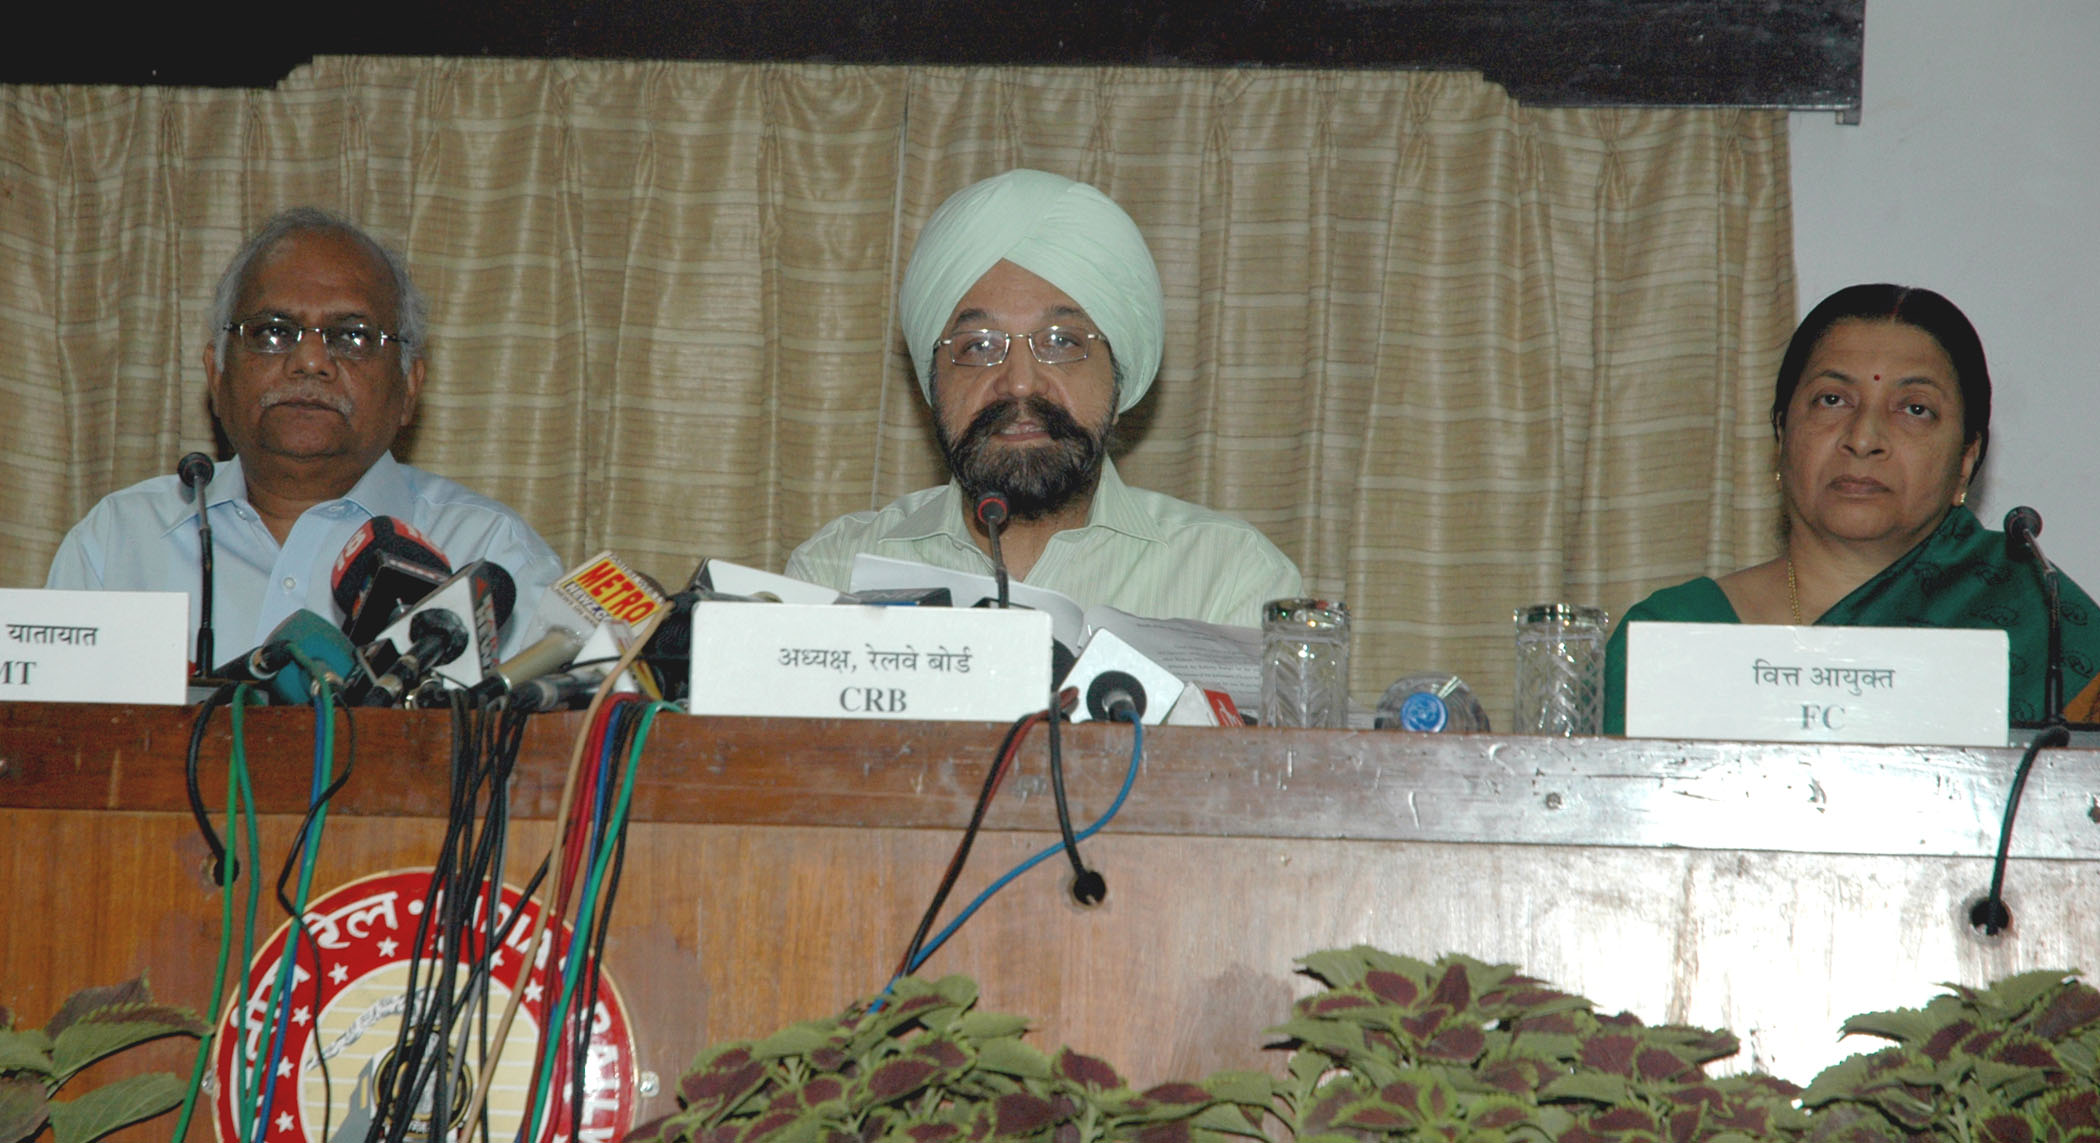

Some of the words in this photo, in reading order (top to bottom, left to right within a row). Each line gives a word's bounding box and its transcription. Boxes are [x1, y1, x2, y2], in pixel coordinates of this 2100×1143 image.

[5, 619, 99, 649] यातायात
[775, 645, 854, 679] अध्यक्ष
[835, 683, 910, 717] CRB
[863, 640, 922, 675] रेलवे
[926, 641, 976, 679] बोर्ड
[1747, 654, 1805, 691] वित्त
[1809, 664, 1899, 701] आयुक्त
[1796, 703, 1851, 736] FC